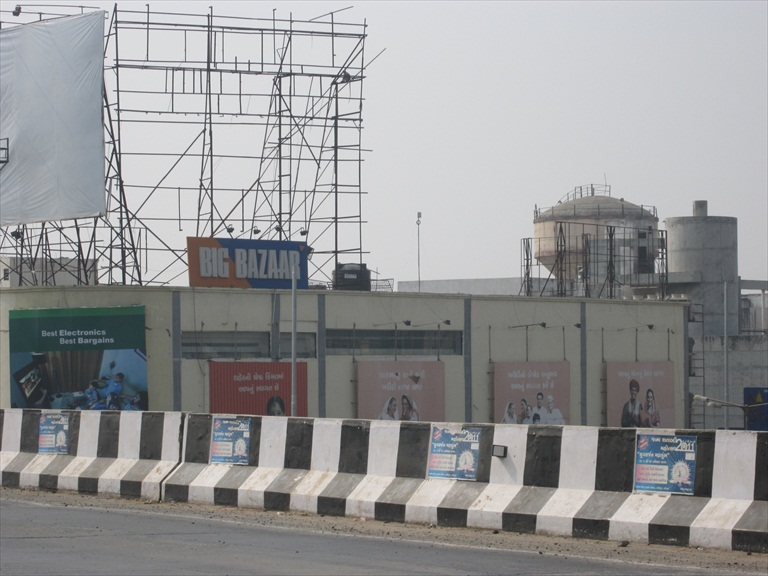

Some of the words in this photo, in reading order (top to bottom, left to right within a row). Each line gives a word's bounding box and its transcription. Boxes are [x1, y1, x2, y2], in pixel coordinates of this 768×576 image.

[195, 245, 233, 281] BIG
[231, 246, 303, 283] BAZAAR